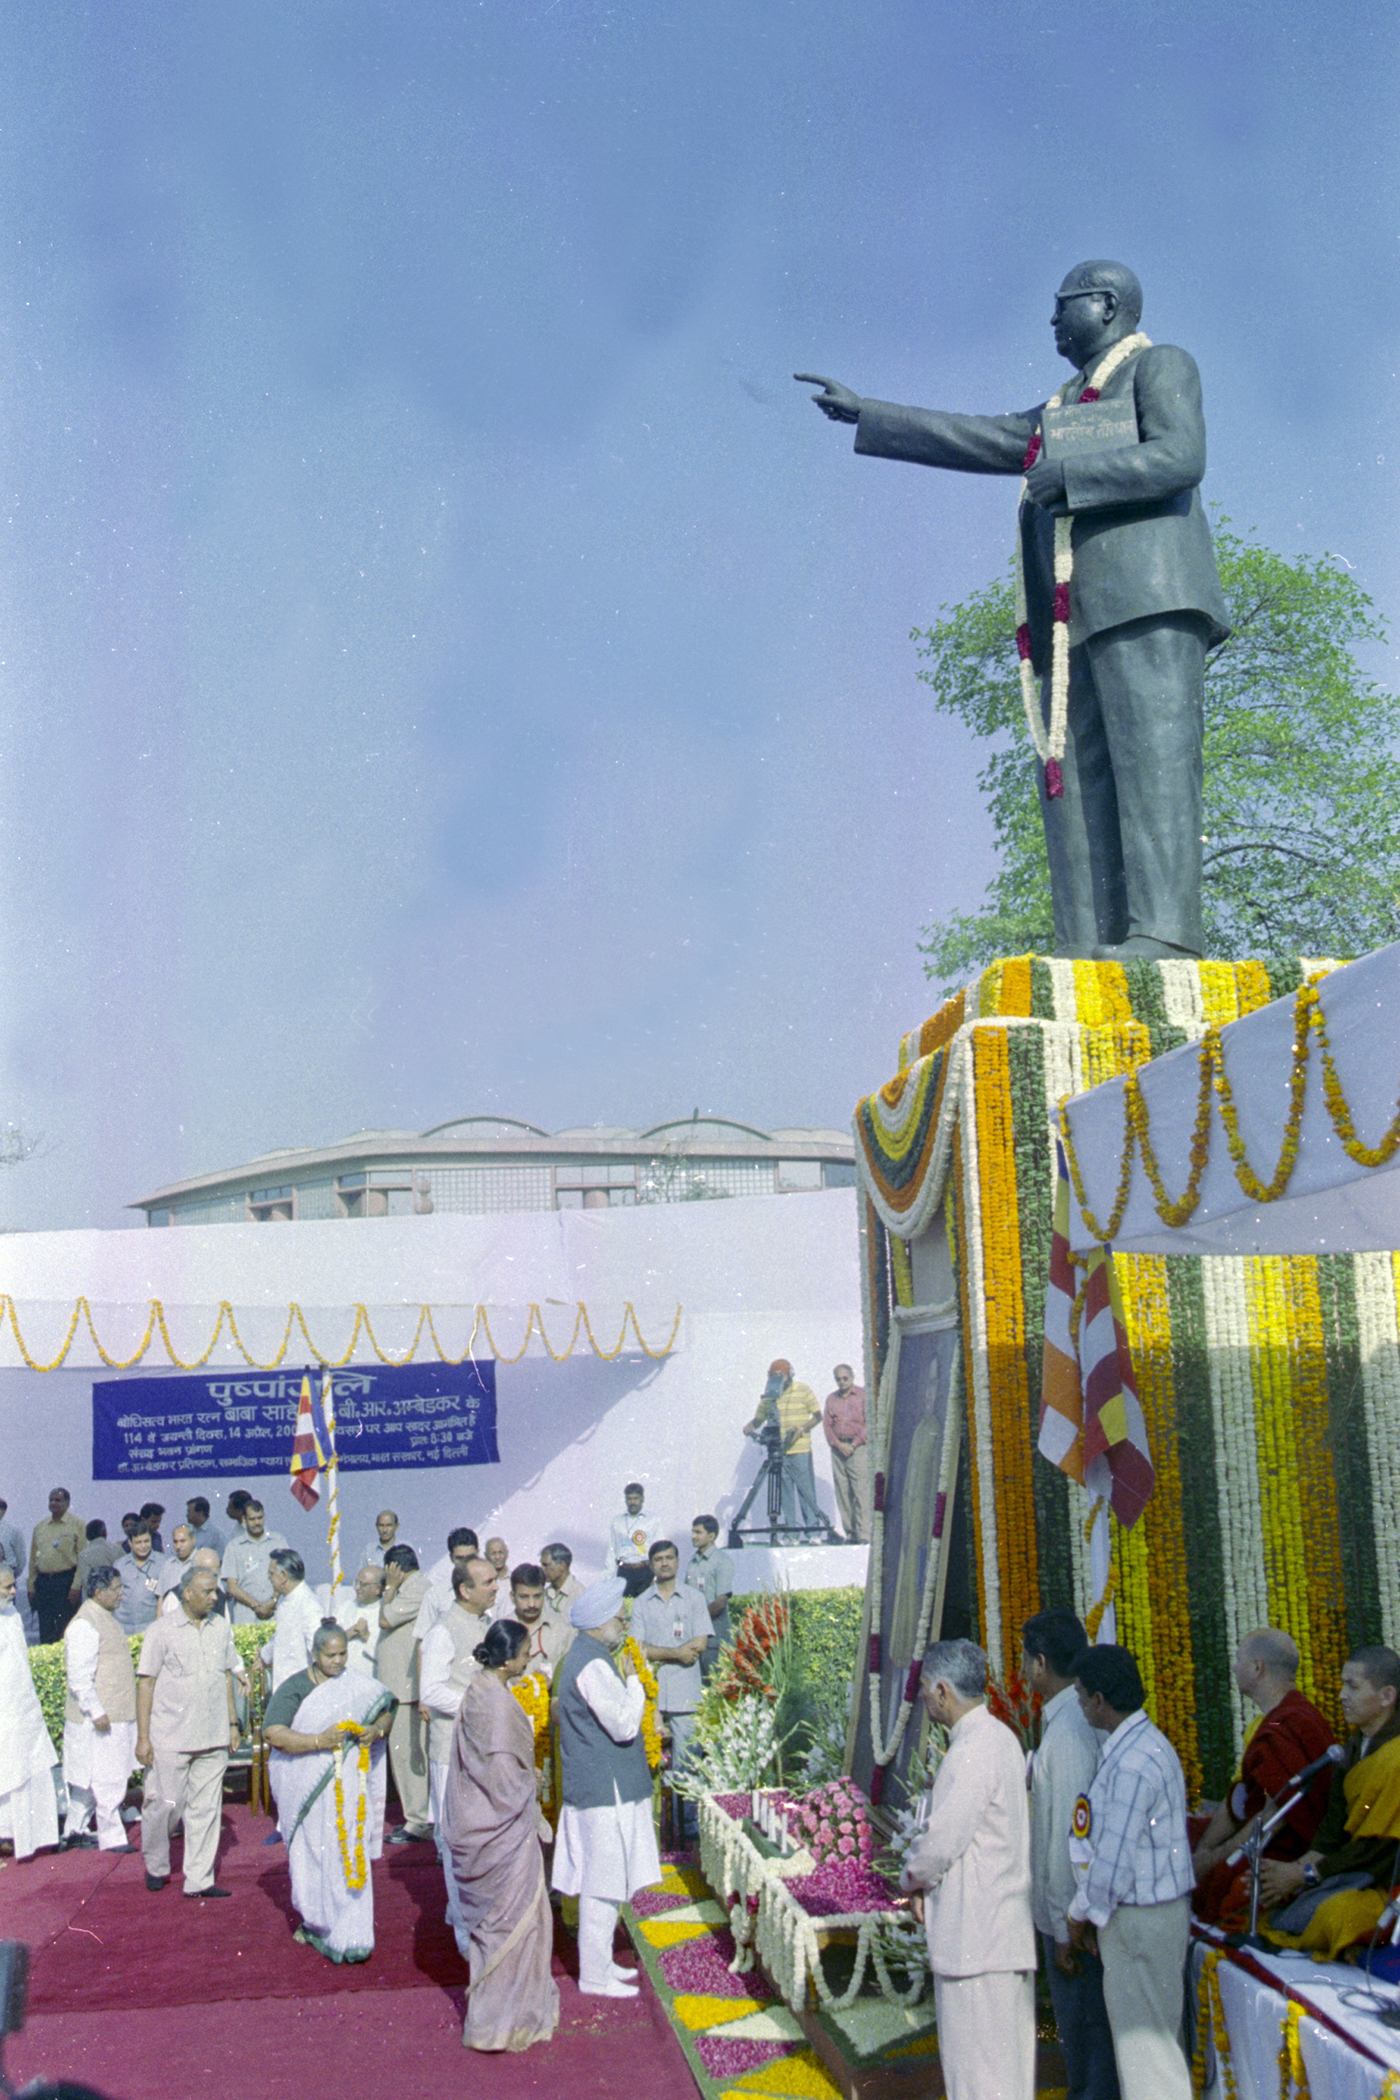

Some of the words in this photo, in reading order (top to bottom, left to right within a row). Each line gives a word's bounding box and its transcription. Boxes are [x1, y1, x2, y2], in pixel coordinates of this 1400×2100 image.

[206, 1366, 377, 1410] पुष्पांलि
[119, 1429, 143, 1445] 114
[113, 1411, 165, 1430] बोधिसत्व
[145, 1427, 157, 1445] वें
[159, 1423, 195, 1445] जयन्ती
[164, 1409, 195, 1427] भारत
[195, 1410, 222, 1425] रत्न
[193, 1425, 226, 1442] दिवस
[224, 1424, 242, 1441] 14
[222, 1404, 257, 1423] बाबा
[243, 1423, 273, 1442] अप्रैल
[259, 1397, 301, 1424] साहे
[329, 1423, 364, 1439] वसर
[363, 1421, 383, 1437] पर
[379, 1420, 403, 1435] आप
[335, 1388, 463, 1420] बी.आर.अम्बेडकर
[403, 1419, 433, 1435] सादर
[431, 1414, 468, 1432] आमंत्रित
[462, 1391, 482, 1411] के
[125, 1443, 154, 1460] संसद
[115, 1458, 179, 1475] डॉ॰अम्बडकर।
[155, 1443, 183, 1457] भवन
[175, 1455, 219, 1471] प्रतिष्ठान
[182, 1439, 217, 1457] प्रांगण
[217, 1451, 260, 1470] सामाजिक
[256, 1453, 284, 1469] न्याय
[335, 1449, 369, 1465] मंत्रालय
[368, 1448, 392, 1467] भारत
[391, 1449, 423, 1465] सरकार
[423, 1441, 443, 1463] नई
[438, 1442, 471, 1462] दिल्ली